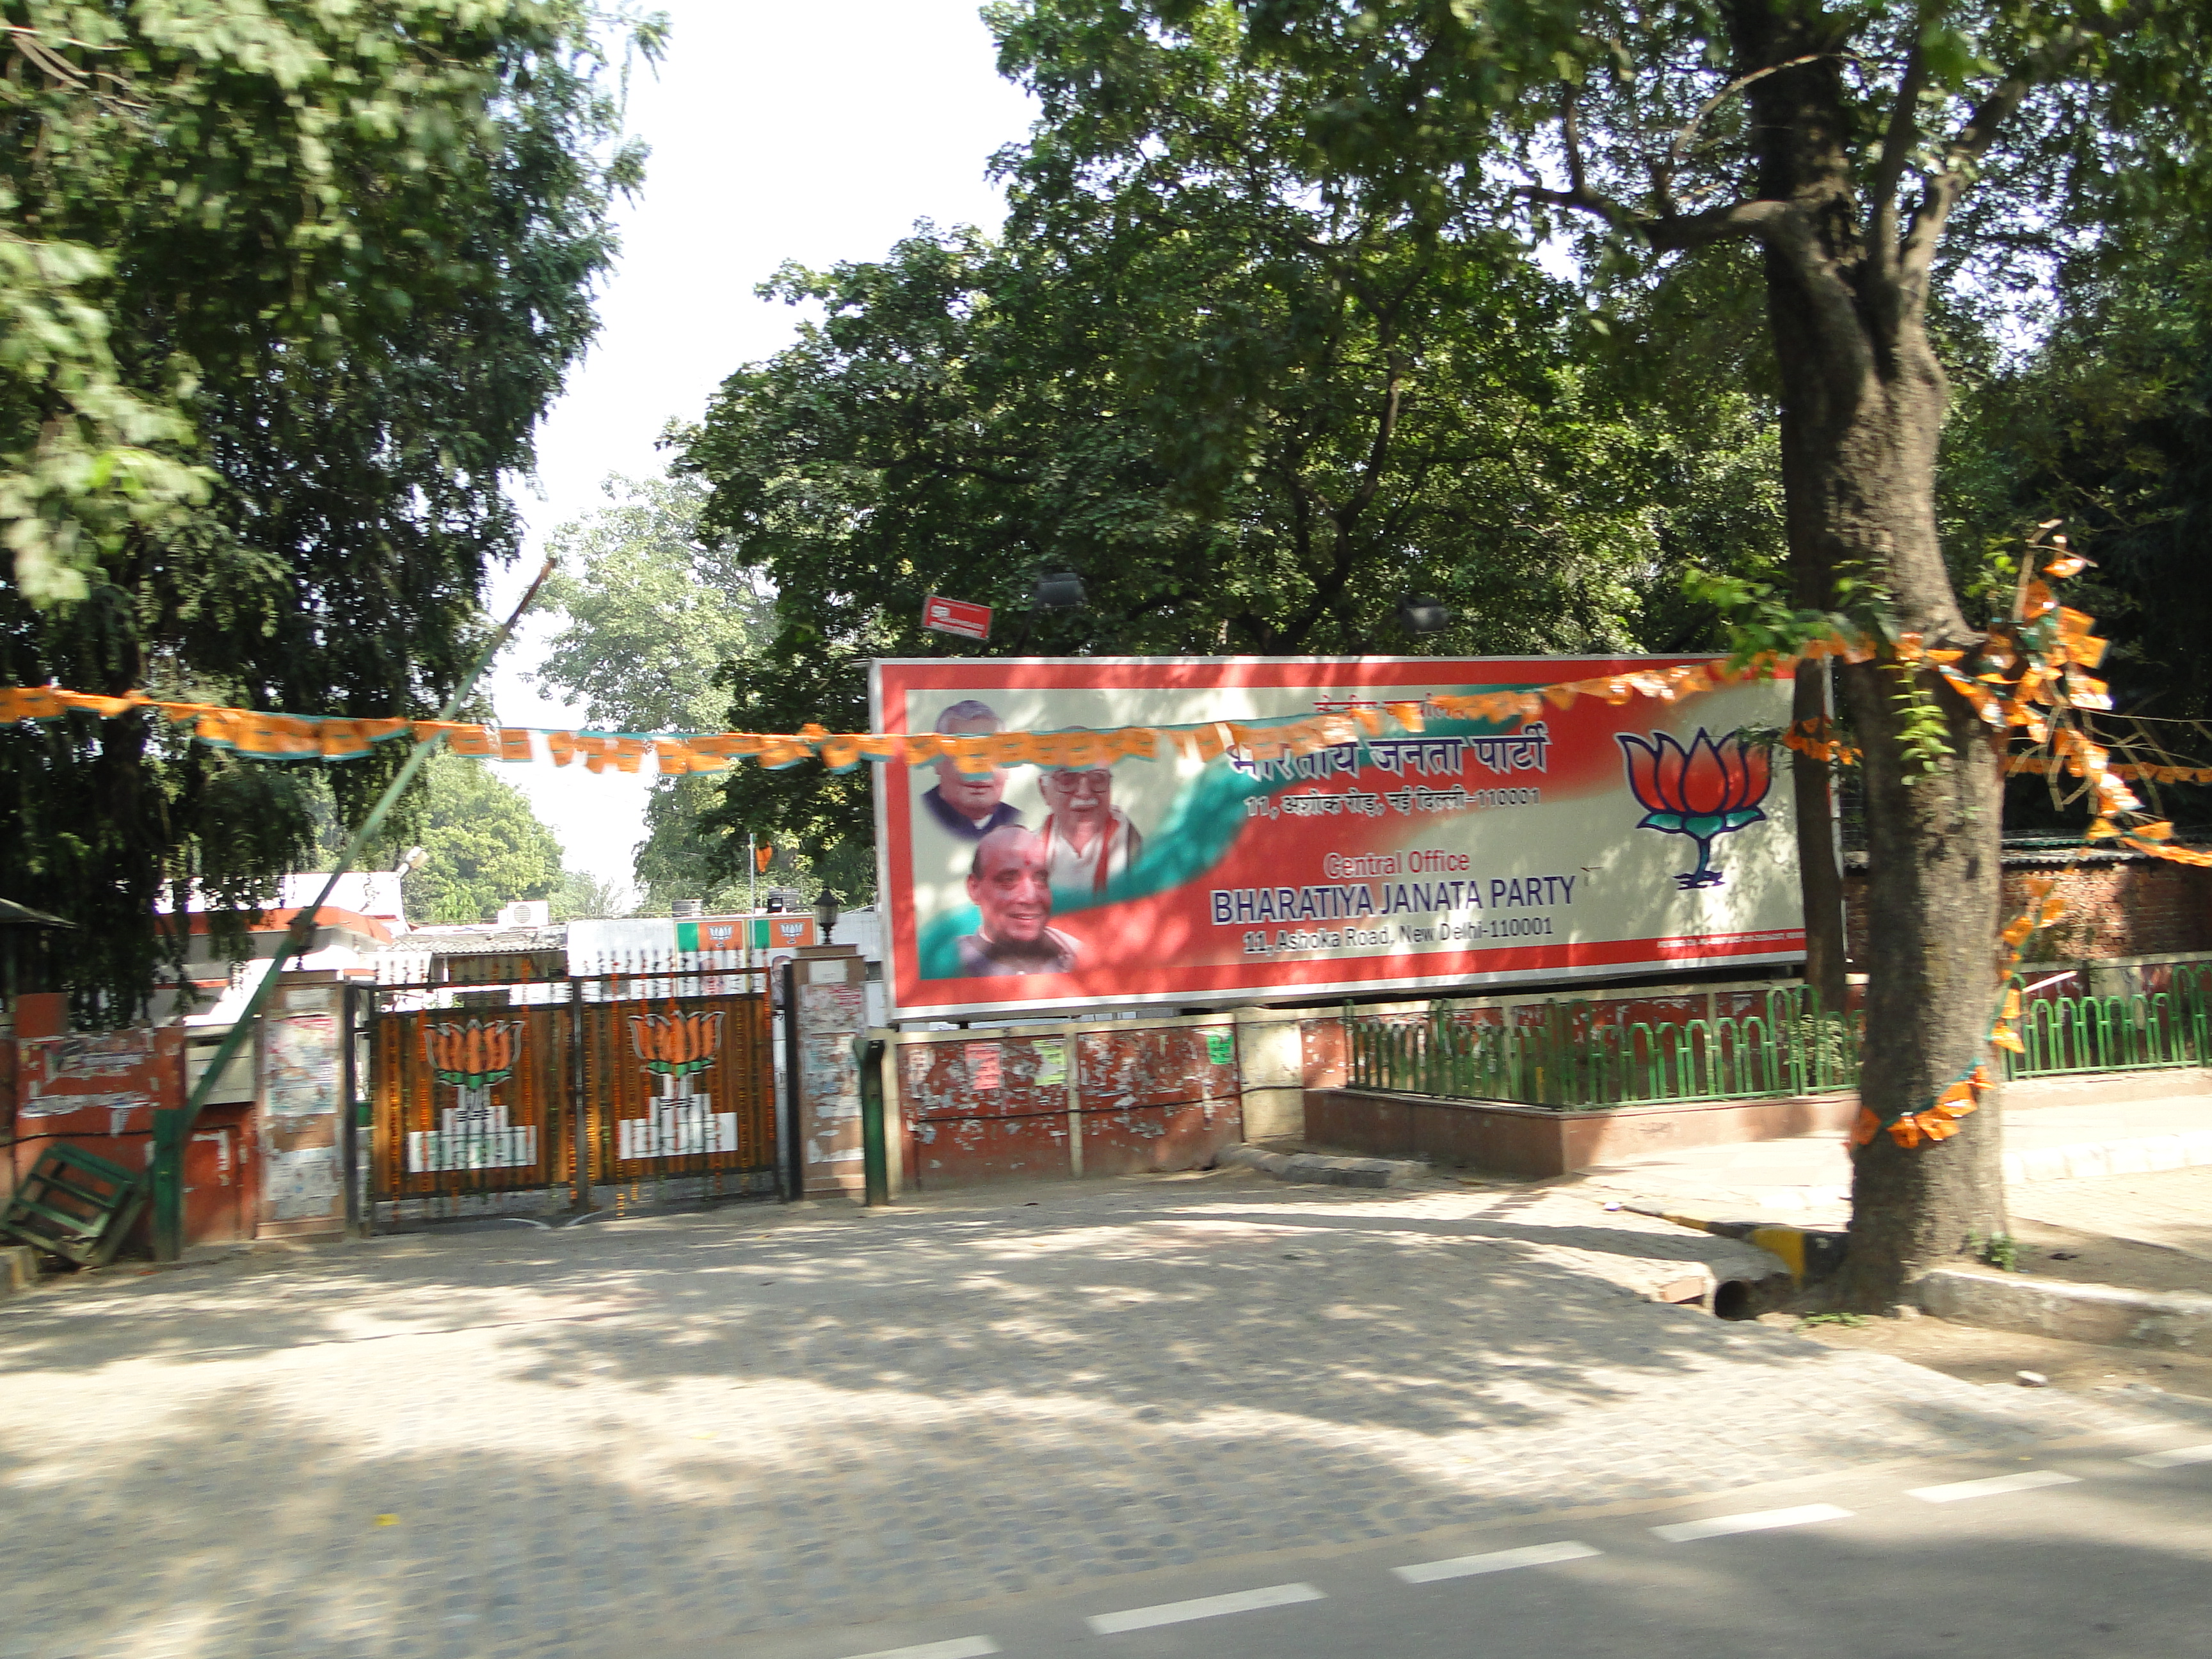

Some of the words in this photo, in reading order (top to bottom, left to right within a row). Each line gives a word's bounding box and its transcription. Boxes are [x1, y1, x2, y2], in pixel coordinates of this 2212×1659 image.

[1224, 722, 1363, 784] भारतीय
[1368, 737, 1467, 780] जनता
[1472, 717, 1553, 777] पार्टी
[1279, 785, 1345, 817] अशोक
[1338, 783, 1383, 818] रोड़
[1383, 780, 1468, 816] नई दिल्ली
[1473, 785, 1543, 808] 110001
[1318, 848, 1406, 880] Central
[1406, 846, 1473, 874] Office
[1210, 881, 1379, 924] BHARATIYA
[1381, 878, 1484, 917] JANATA
[1487, 874, 1577, 911] PARTY
[1242, 925, 1344, 956] 11,Ashoka
[1342, 924, 1395, 948] Road,
[1398, 922, 1438, 945] New
[1438, 920, 1487, 943] Delhi-
[1488, 916, 1554, 940] 110001